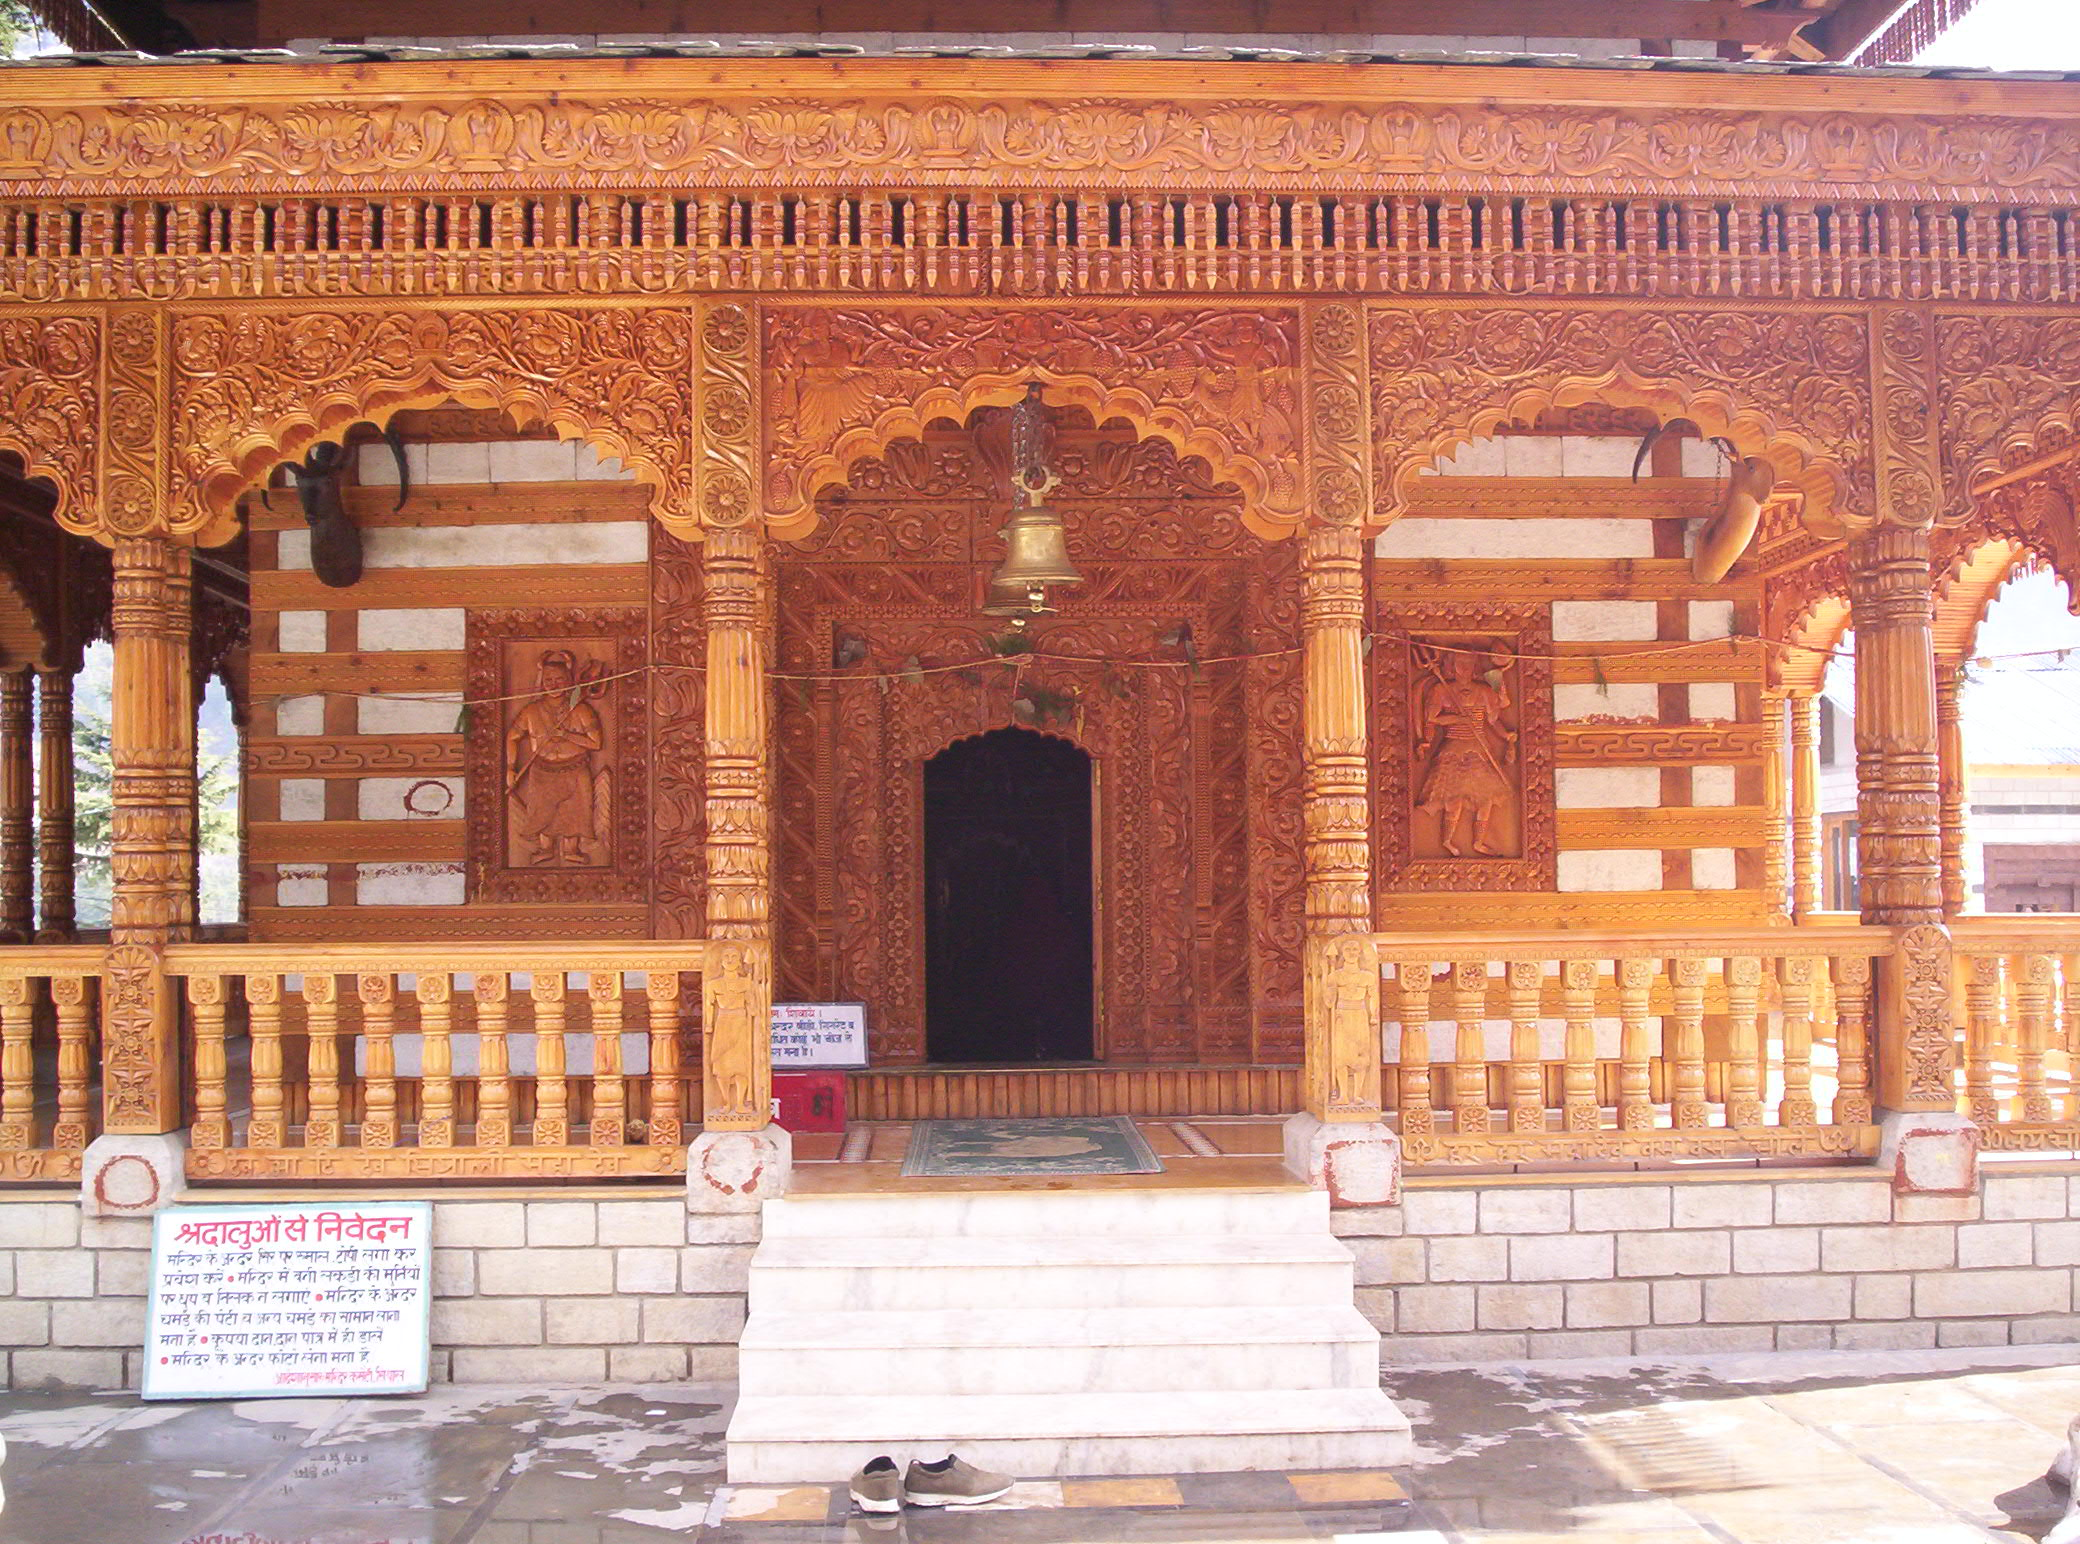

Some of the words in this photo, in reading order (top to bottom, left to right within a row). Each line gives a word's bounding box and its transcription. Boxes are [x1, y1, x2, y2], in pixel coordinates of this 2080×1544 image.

[170, 1211, 283, 1253] श्रदालुओं
[284, 1210, 310, 1244] से
[312, 1207, 415, 1245] निवेदन